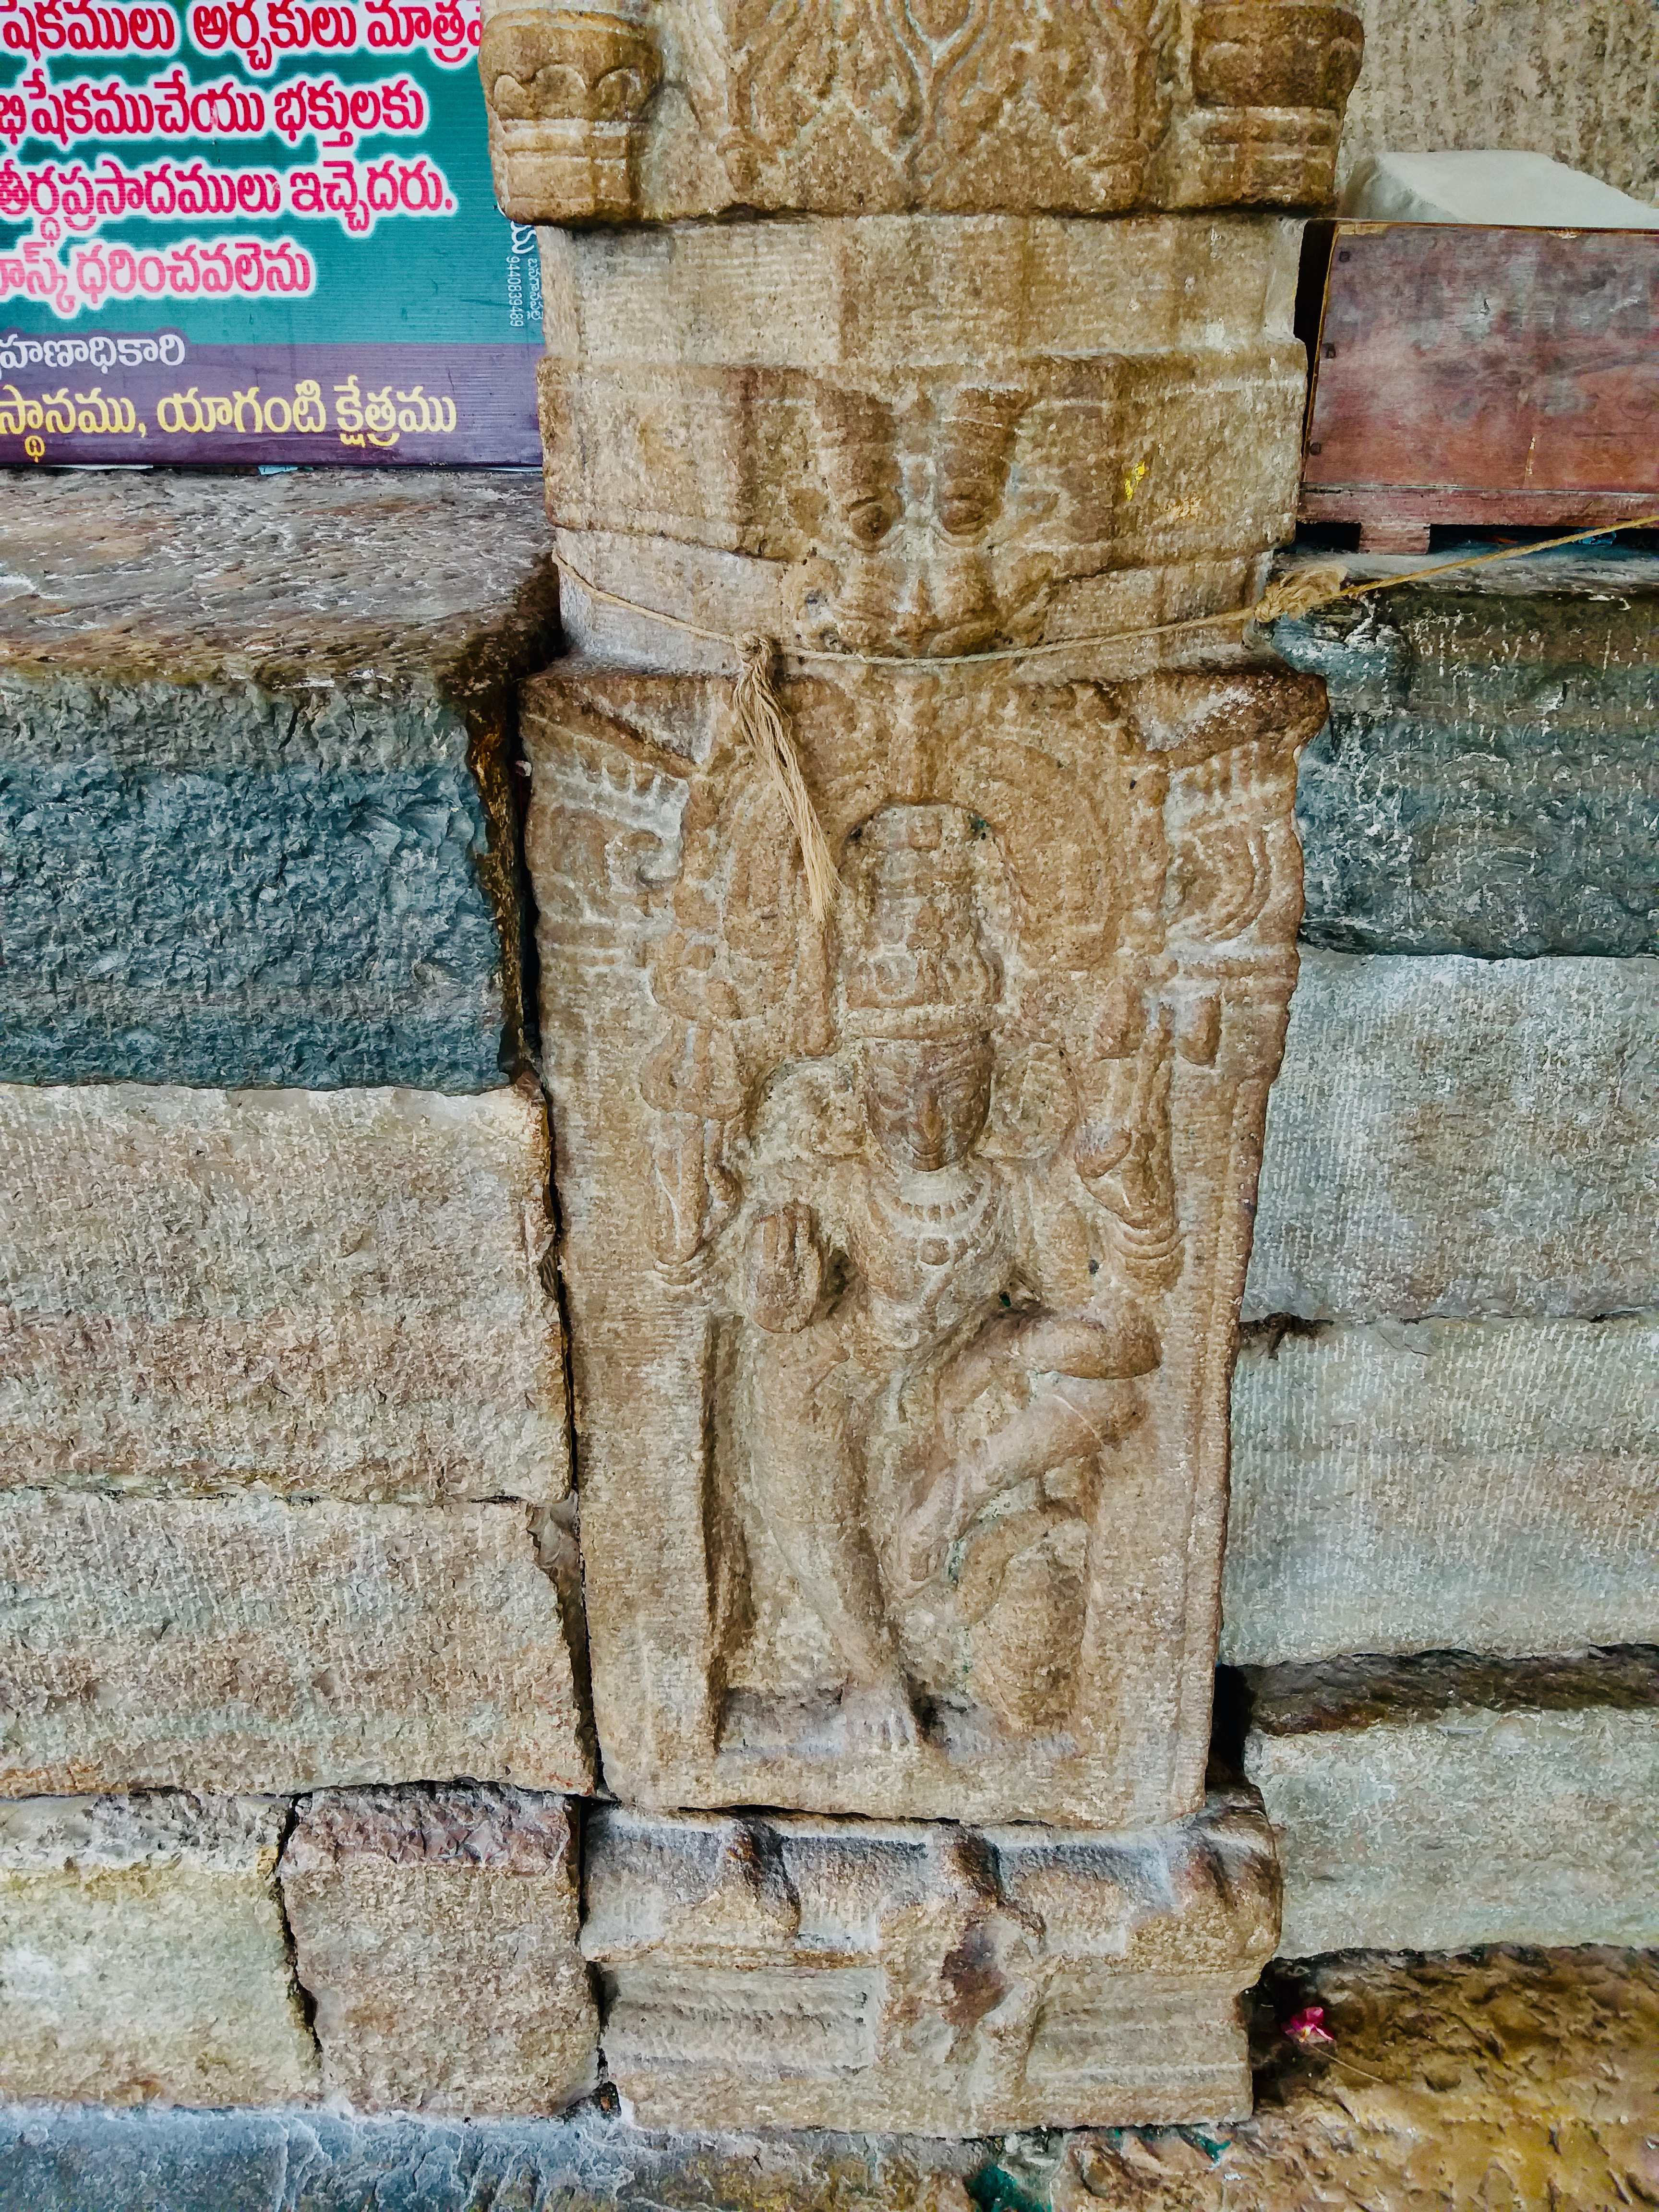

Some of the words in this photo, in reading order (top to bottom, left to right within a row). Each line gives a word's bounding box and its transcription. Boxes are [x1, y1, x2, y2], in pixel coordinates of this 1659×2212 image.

[1, 1, 181, 63] షకములు
[185, 0, 359, 75] అర్చకులు
[364, 0, 493, 67] మాత్ర
[4, 62, 271, 153] భిషేకముచేయ
[271, 72, 427, 152] భక్తులకు
[0, 154, 291, 253] తీర్ధప్రసాదములు
[279, 153, 462, 244] ఇచ్చెదరు.
[0, 231, 321, 322] స్కధరించవలెను
[0, 328, 197, 379] హణాధికారి
[0, 379, 143, 470] స్థానమ
[152, 373, 331, 439] యాగంటి
[331, 368, 468, 454] క్షేతమ